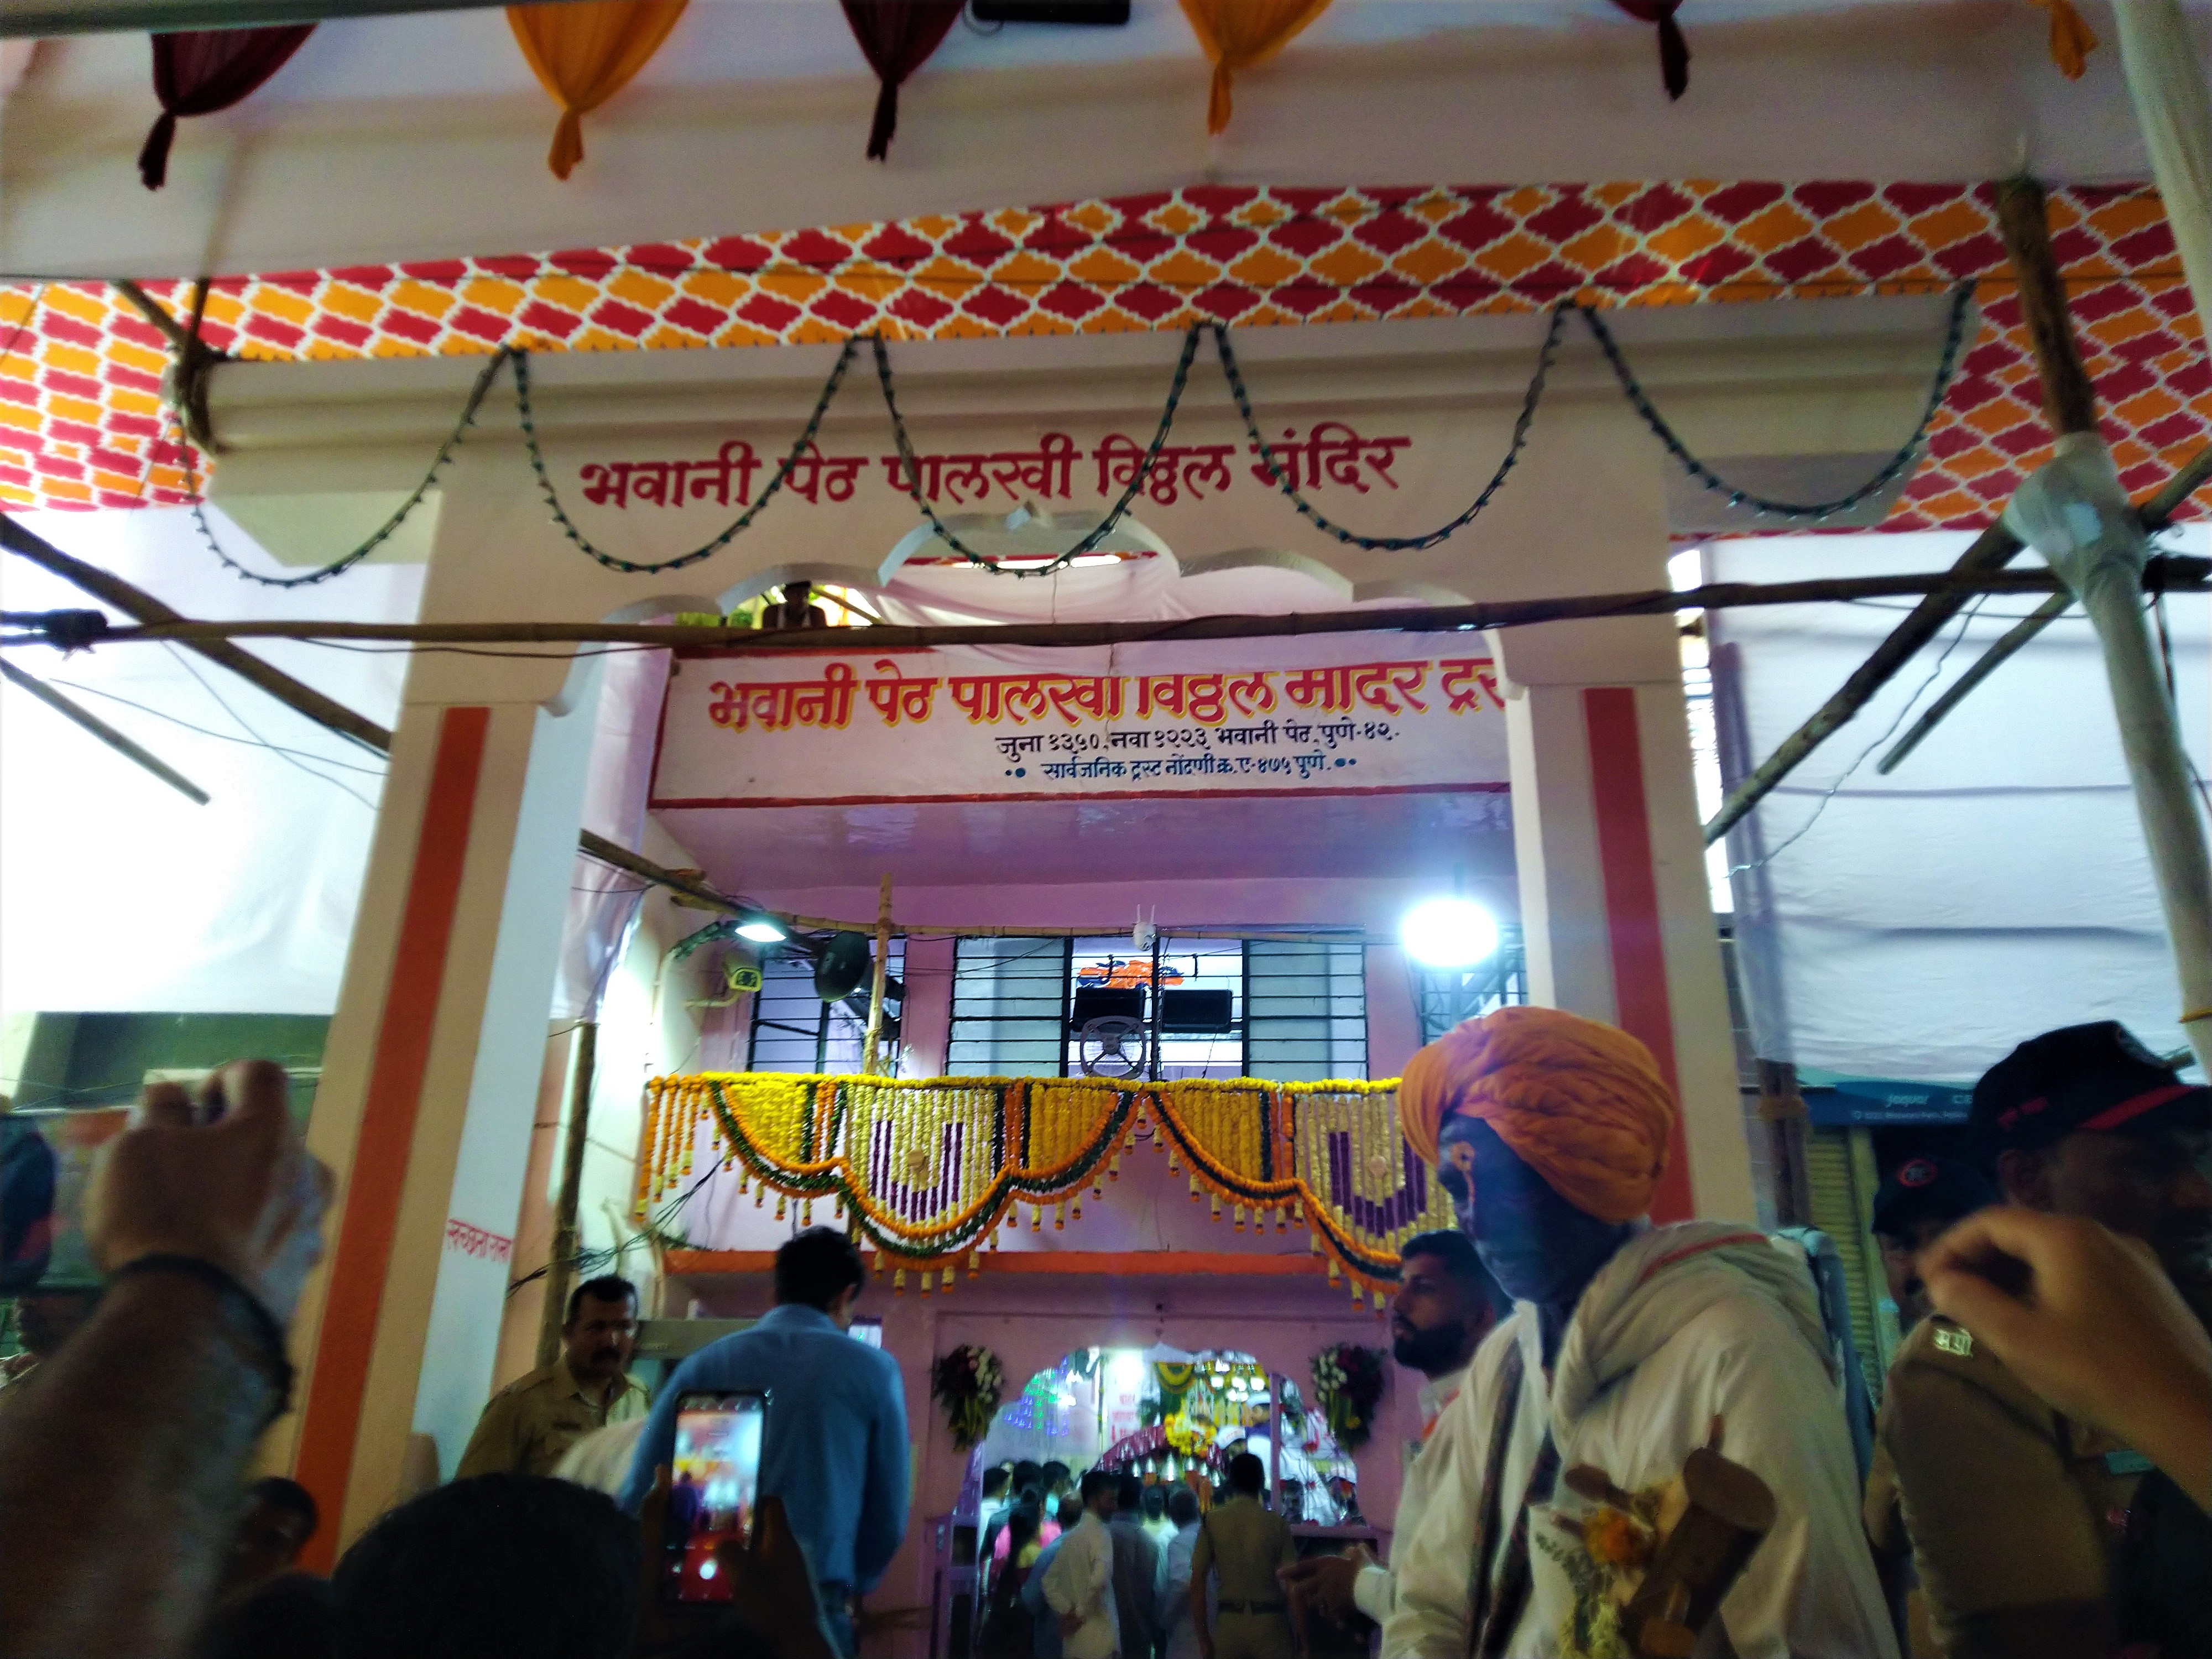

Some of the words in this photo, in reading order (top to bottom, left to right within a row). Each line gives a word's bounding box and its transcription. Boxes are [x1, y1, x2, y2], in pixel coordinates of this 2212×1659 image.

[561, 432, 770, 527] भवानी
[773, 429, 875, 515] पेठ
[876, 426, 1089, 513] पालखी
[1089, 424, 1241, 517] विठ्ठल
[1241, 415, 1422, 505] मंदिर
[694, 658, 863, 740] भवानी
[860, 654, 947, 737] पेठ
[942, 669, 1134, 731] पालखा
[989, 729, 1046, 766] जुना
[1046, 729, 1112, 757] १३़५०,
[1035, 753, 1129, 785] सार्वजनिक
[1109, 727, 1154, 753] नवा
[1128, 756, 1164, 787] ट्रस्ट
[1153, 725, 1214, 752] १२२३
[1164, 751, 1217, 778] नोंदणी
[1214, 753, 1239, 781] क्र.
[1209, 717, 1280, 751] भवानी
[1233, 752, 1257, 776] ए.
[1256, 754, 1295, 777] ४७५
[1280, 715, 1322, 747] पेठ
[1291, 746, 1333, 784] पुणे.
[1316, 712, 1404, 752] पुणे-४२.